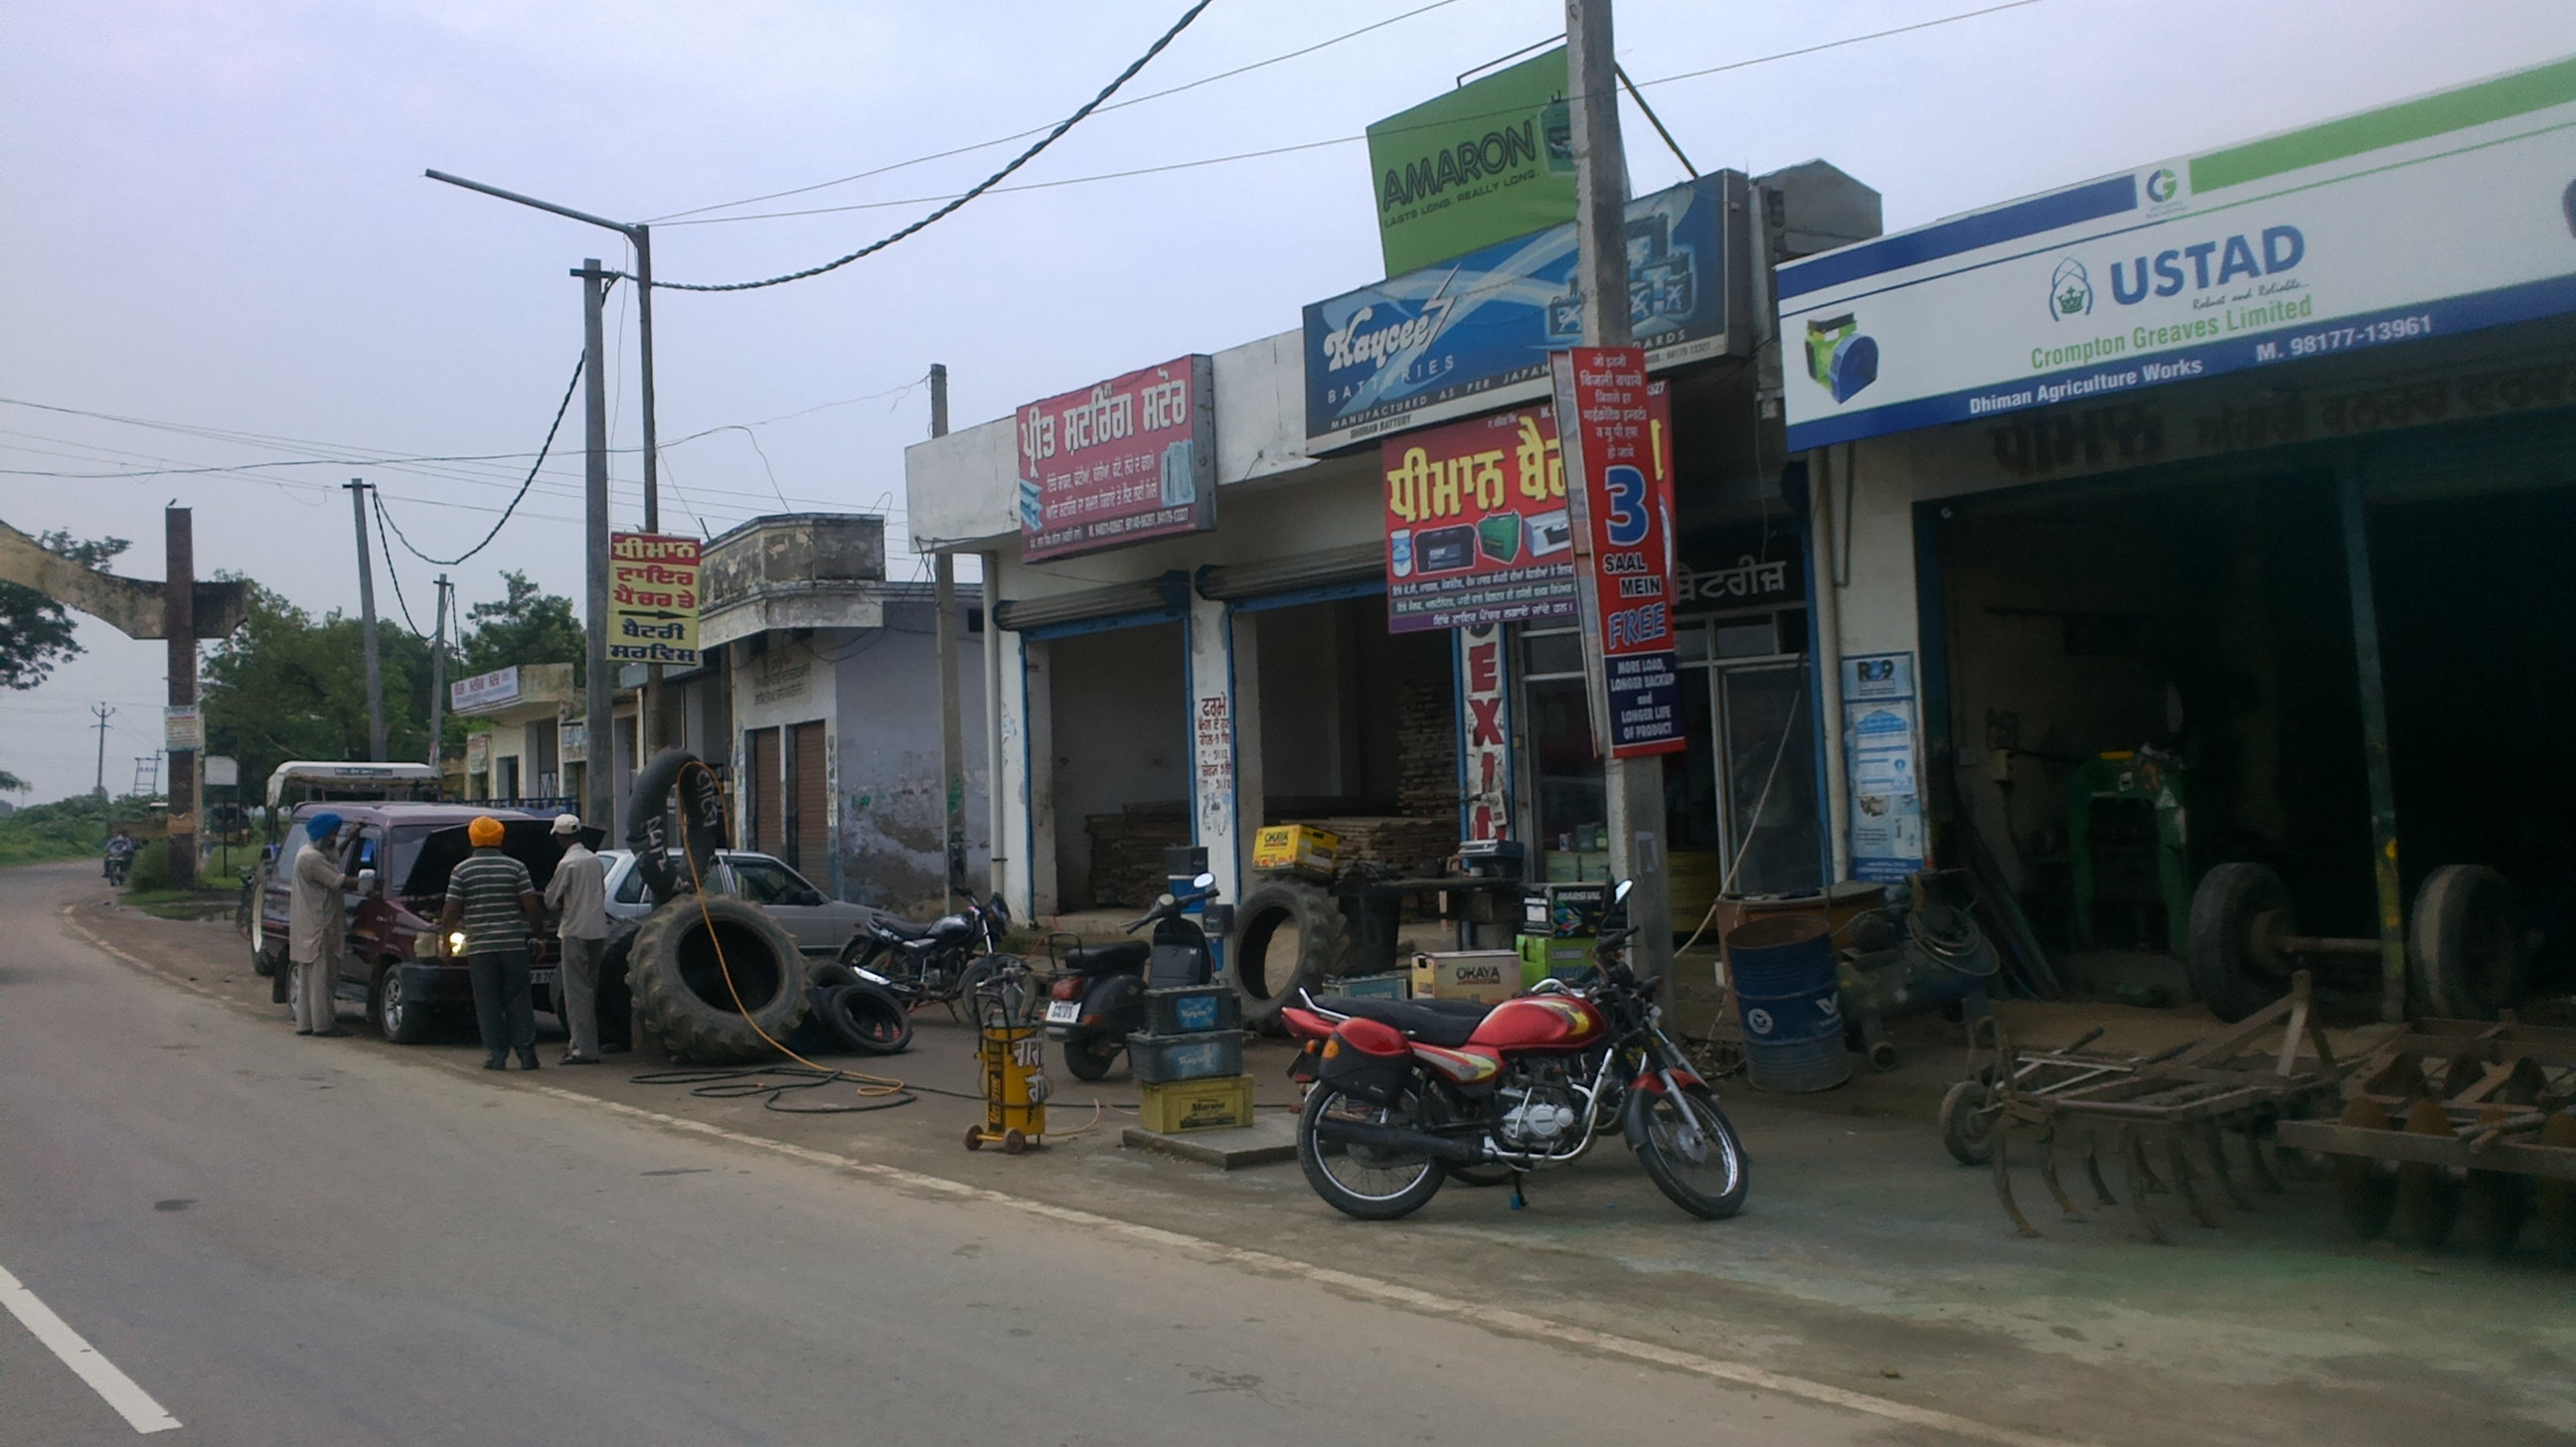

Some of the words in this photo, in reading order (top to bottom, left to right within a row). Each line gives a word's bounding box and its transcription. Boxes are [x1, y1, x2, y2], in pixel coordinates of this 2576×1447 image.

[1376, 114, 1543, 216] AMARON
[2101, 218, 2317, 313] USTAD
[1017, 400, 1058, 482] ਪ੍ਰੀਤ
[1058, 377, 1140, 461] ਸ਼ਟਰਿੰਗ
[1137, 365, 1194, 435] ਸਟੋਰ
[1323, 352, 1458, 406] BATTARIES
[1315, 257, 1469, 377] Kaycee
[1509, 413, 1548, 505] ਬੈ
[1967, 382, 2033, 416] Dhiman
[2026, 327, 2133, 373] Crompton
[2034, 365, 2141, 406] Agriculture
[2138, 355, 2208, 385] Works
[2128, 312, 2224, 353] Greaves
[2251, 336, 2287, 367] M.
[2221, 289, 2318, 339] Limited
[2287, 311, 2442, 360] 98177-13961
[1382, 442, 1510, 528] ਧੀਮਾਨ
[1585, 462, 1657, 552] 3
[609, 582, 675, 611] ਪੈਚਰ
[610, 532, 700, 565] ਧੀਮਾਨ
[613, 562, 699, 588] ਟਾਇਰ
[675, 586, 700, 611] ਤੇ
[1597, 549, 1653, 579] SAAL
[1615, 574, 1667, 601] MEIN
[1675, 550, 1791, 602] ਬੈਟਰੀਜ਼
[615, 615, 689, 643] ਬੈਟਰੀ
[607, 639, 697, 666] ਸਰਵਿਸ
[1462, 636, 1506, 695] E
[1600, 596, 1671, 655] FREE
[1463, 693, 1508, 750] X
[1467, 749, 1507, 804] 1
[1450, 963, 1503, 982] OKAYA